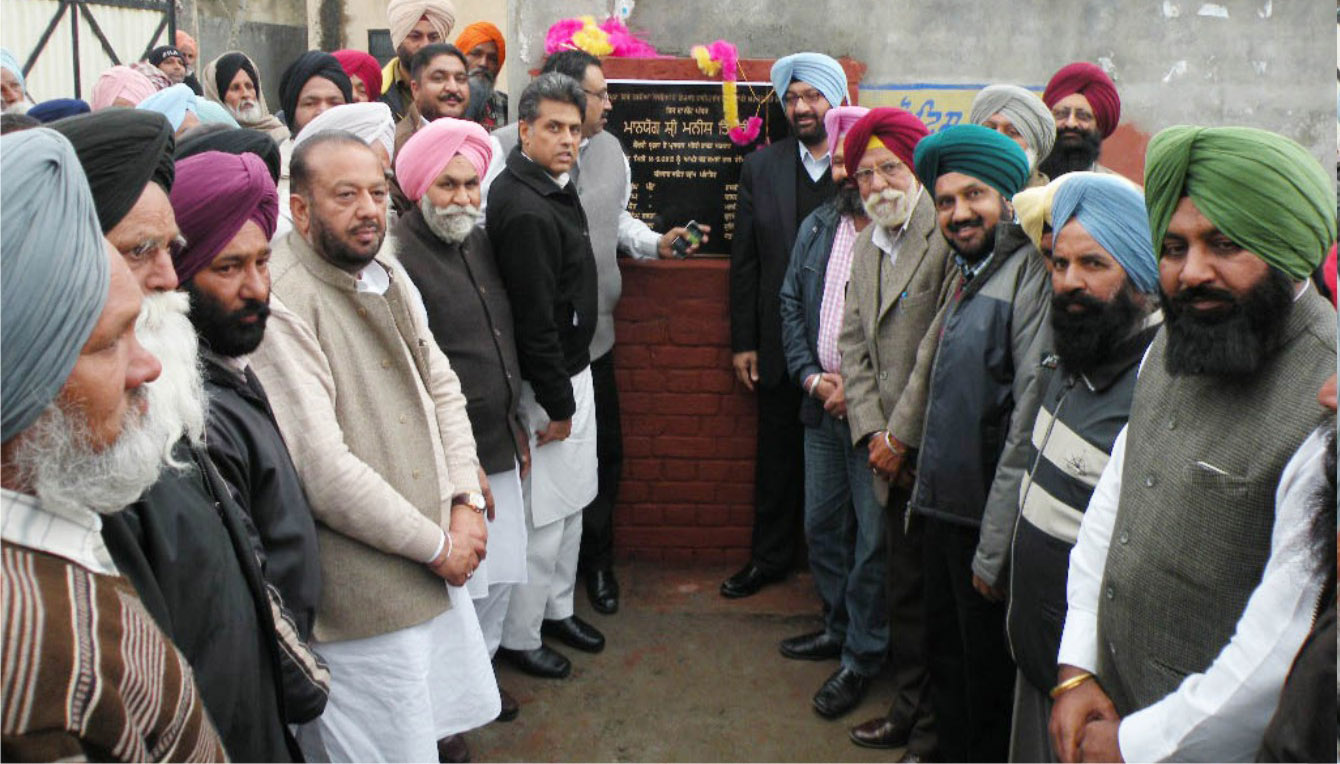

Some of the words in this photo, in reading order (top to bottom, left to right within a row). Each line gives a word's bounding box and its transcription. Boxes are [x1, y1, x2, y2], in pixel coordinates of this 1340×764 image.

[617, 113, 663, 139] ਮਾਨਯੋਗ
[663, 115, 681, 139] ਸ੍ਰੀ
[679, 115, 717, 138] ਮਨੀਸ਼